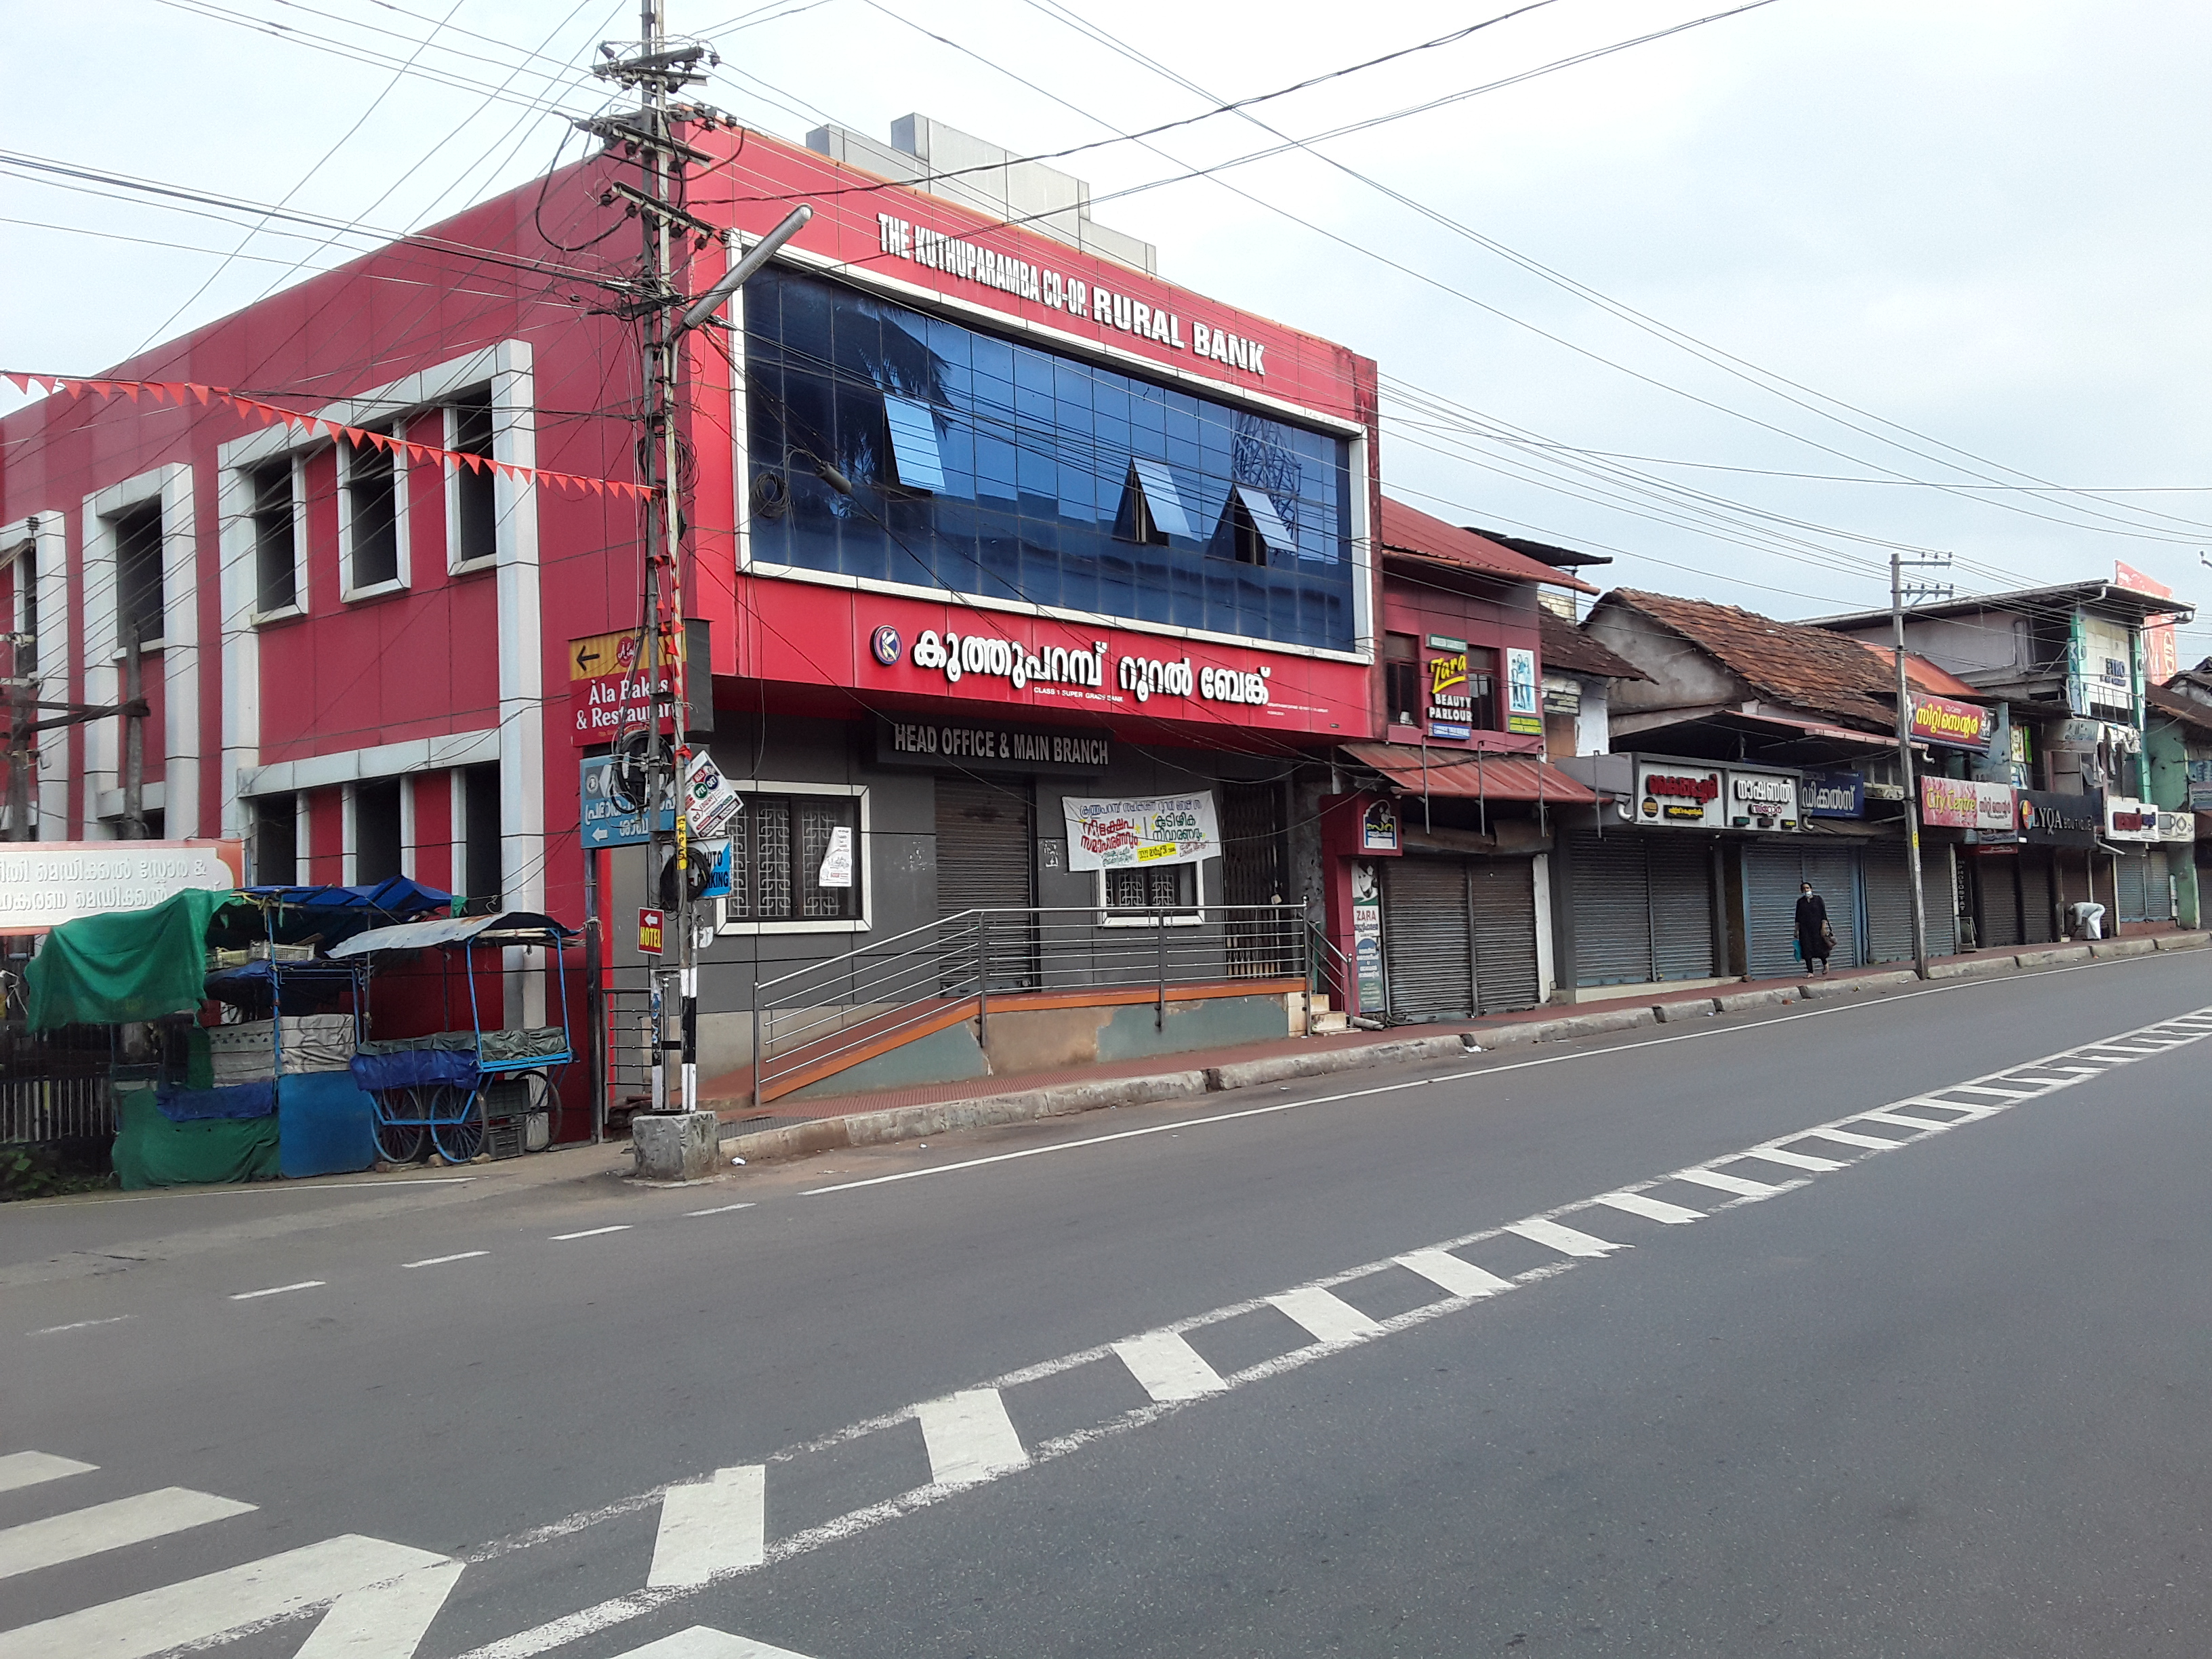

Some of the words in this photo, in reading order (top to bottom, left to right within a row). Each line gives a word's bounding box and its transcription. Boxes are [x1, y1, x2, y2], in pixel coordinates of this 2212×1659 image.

[878, 209, 912, 264] THE
[909, 222, 1042, 304] KUTHUPARAMBA
[1040, 264, 1088, 321] CO-OP.
[1090, 280, 1187, 354] RURAL
[1186, 320, 1269, 376] BANK
[573, 705, 590, 735] &
[586, 678, 619, 707] Ala
[590, 699, 681, 732] RESTAURANT
[617, 671, 670, 703] Paks
[891, 718, 943, 756] HEAD
[939, 724, 998, 762] OFFICE
[989, 729, 1013, 760] &
[912, 626, 1108, 691] കൂത്തുപറമ്പ്
[1010, 731, 1052, 765] MAIN
[1048, 733, 1111, 769] BRANCH
[1115, 647, 1200, 703] റൂറൽ
[1197, 661, 1276, 712] ബേങ്ക്
[1428, 650, 1469, 692] Zara
[1424, 703, 1474, 726] PARLOUR
[1433, 691, 1474, 710] BEAUTY
[1914, 699, 1984, 743] സിറ്റിസെന്റർ
[1643, 766, 1723, 806] കൈവച്ചേരി
[1733, 775, 1796, 806] നാഷണൽ
[1797, 777, 1858, 814] (ഡിക്കൽസ്
[1921, 783, 1948, 815] City
[1944, 785, 1978, 814] Centre
[1077, 815, 1138, 840] നിഭക്ഷപ
[1078, 827, 1143, 856] സമാപരണവും
[1147, 804, 1199, 830] കുടിഴിക
[2030, 803, 2064, 838] LYQA
[3, 856, 34, 885] തി
[34, 855, 134, 886] മെഡിക്കൽ
[138, 855, 192, 886] സ്ലൊവ
[187, 859, 211, 880] &
[1, 889, 70, 914] കരണ
[71, 882, 171, 913] മെഡിക്കൽ
[638, 923, 664, 952] HOTEL